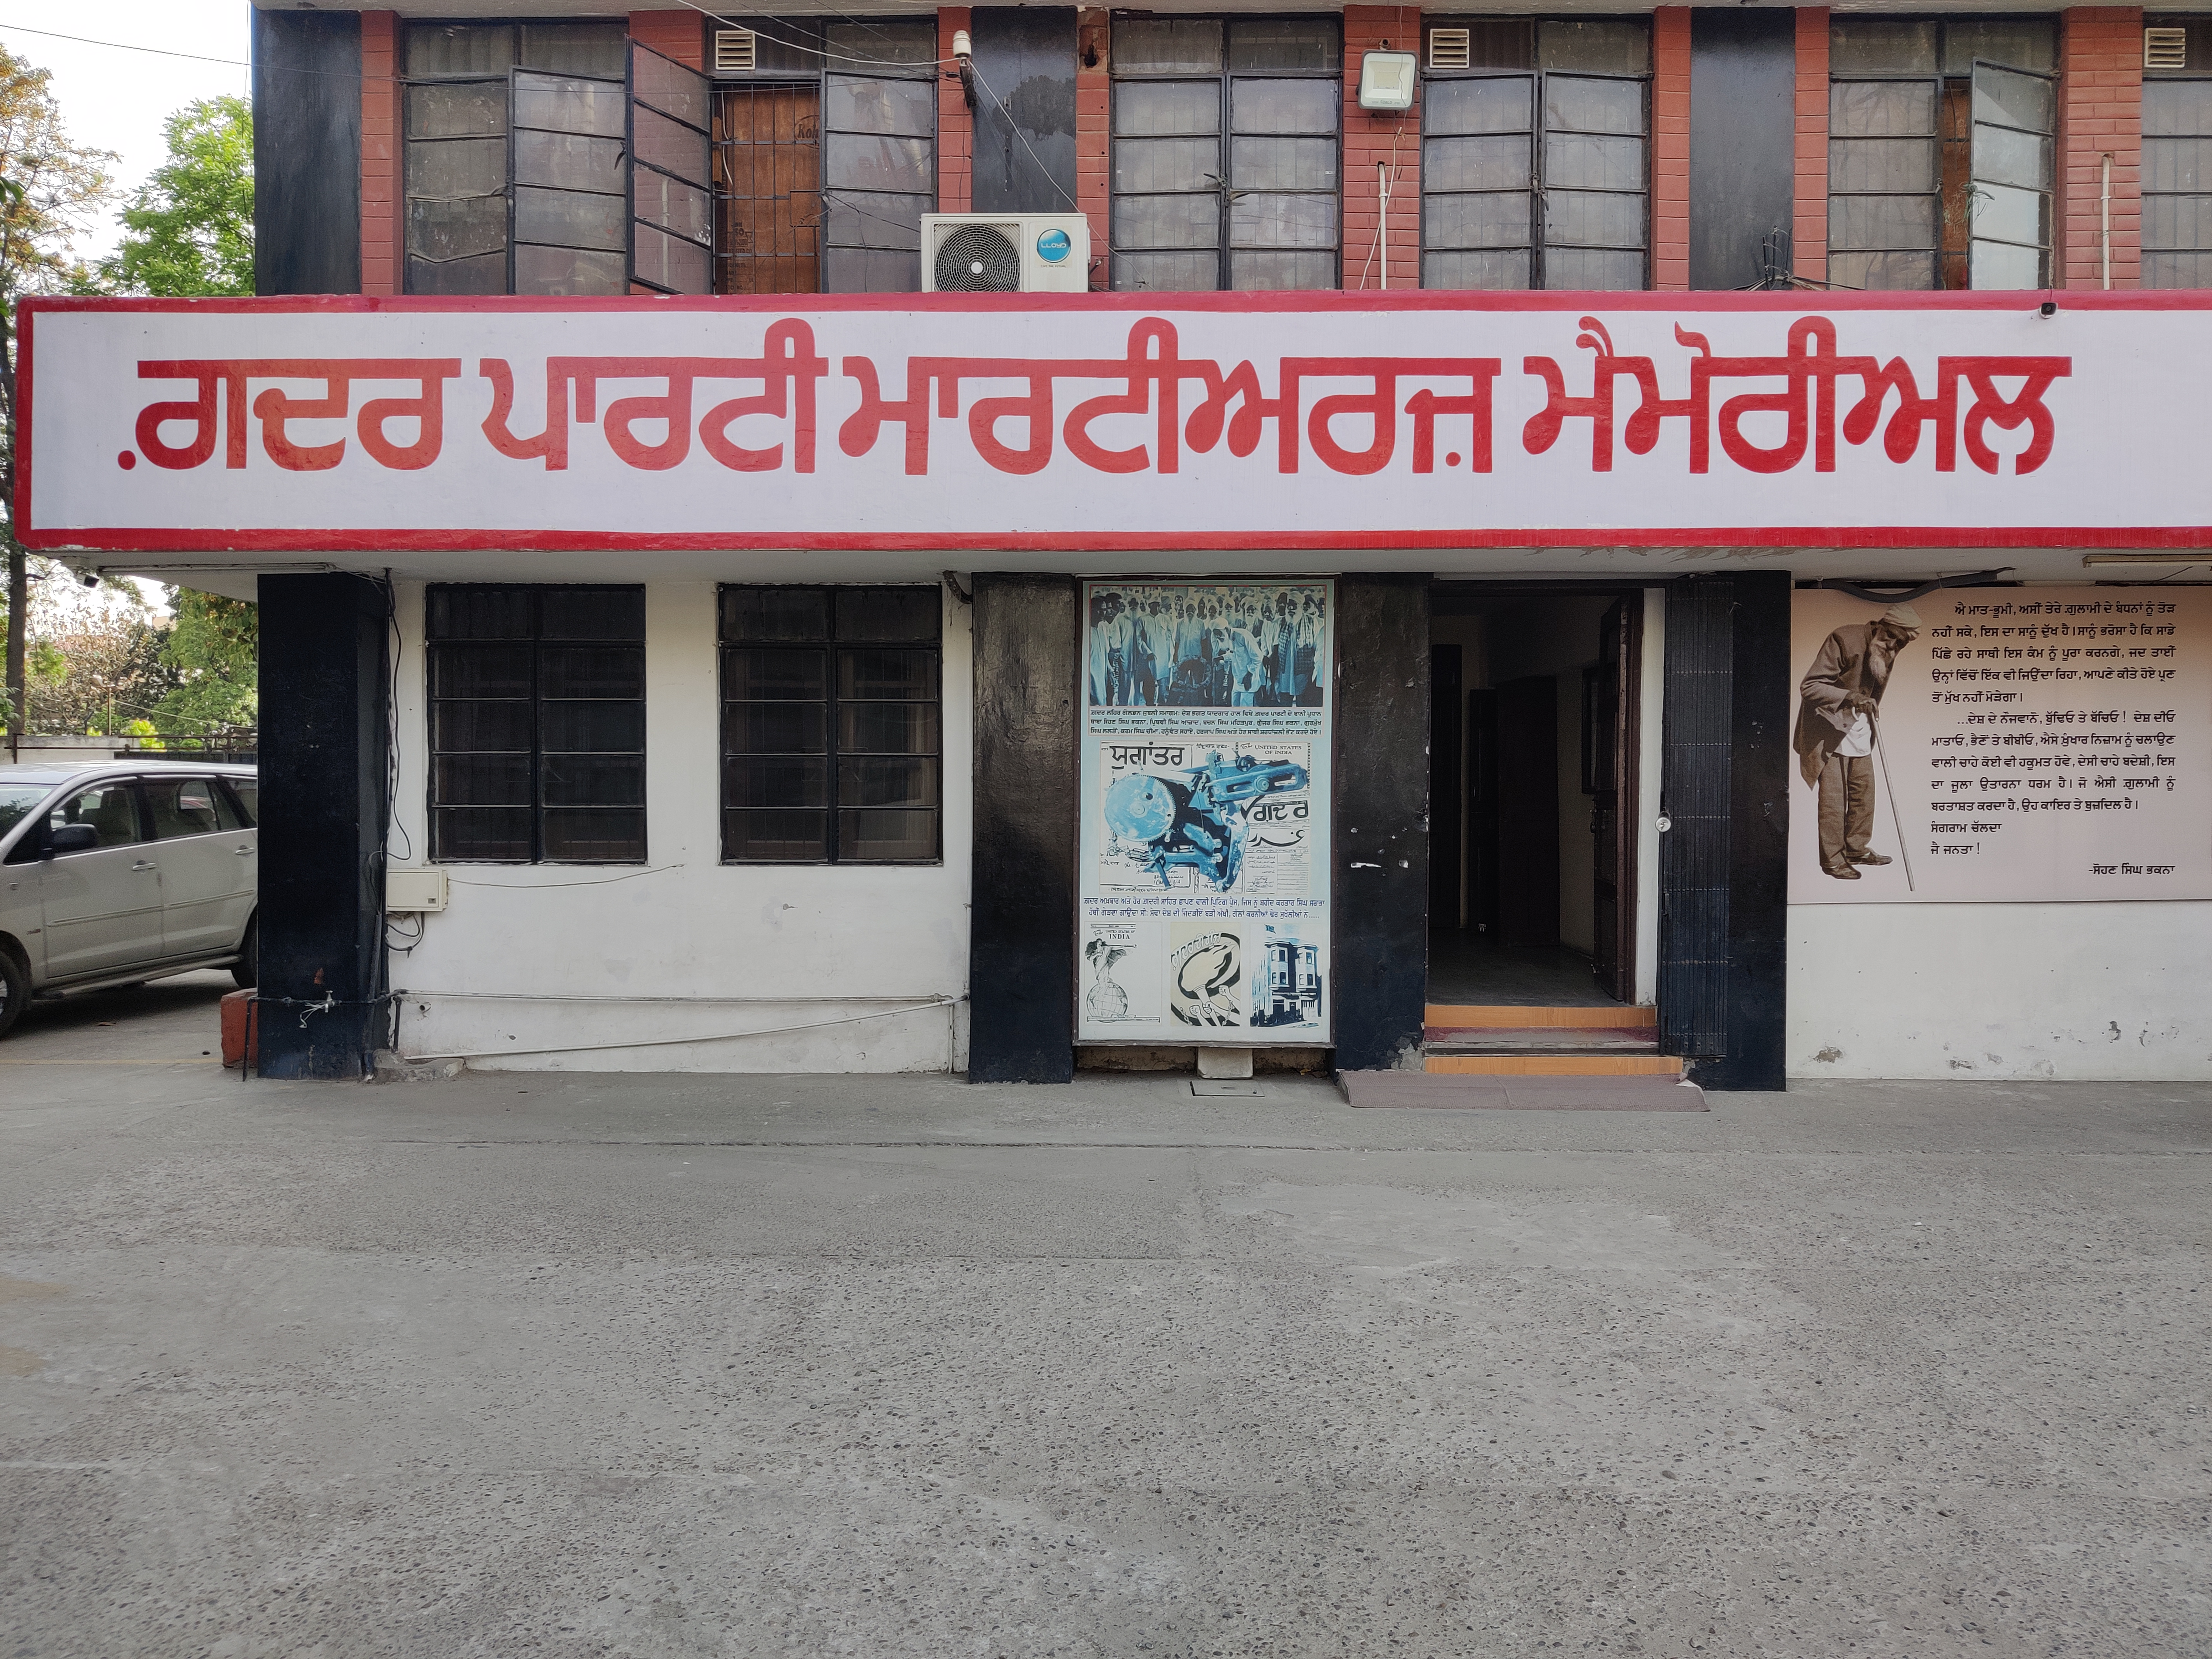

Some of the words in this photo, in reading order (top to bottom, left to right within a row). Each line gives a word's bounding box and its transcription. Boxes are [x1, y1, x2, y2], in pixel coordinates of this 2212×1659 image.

[1037, 241, 1069, 252] LLOYD
[468, 313, 834, 493] ਪਾਰਟੀ
[834, 312, 1514, 489] ਮਾਰਟੀਅਰਜ਼
[1511, 311, 2087, 492] ਮੈਮੋਰੀਅਲ
[109, 348, 473, 491] ਗ਼ਦਰ
[1951, 598, 1968, 616] ਐ
[1967, 599, 2015, 620] ਮਾਤ-ਭੂਮੀ
[2017, 599, 2043, 617] ਅਸੀਂ
[2042, 598, 2065, 617] ਤੇਰੇ
[2064, 598, 2103, 617] ਗ਼ਲਾਮੀ
[2102, 598, 2115, 615] ਦੇ
[2115, 598, 2144, 615] ਬੰਧਨਾਂ
[2144, 598, 2157, 617] ਨੂੰ
[2155, 600, 2179, 617] ਤੋੜ
[1928, 624, 1955, 640] ਨਹੀਂ
[1955, 621, 1975, 639] ਸਕੇ
[1978, 622, 2002, 641] ਇਸ
[2001, 625, 2017, 640] ਦਾ
[2017, 622, 2040, 641] ਸਾਨੂੰ
[2039, 620, 2062, 641] ਦੁੱਖ
[2060, 619, 2074, 638] ਹੈ
[2076, 621, 2099, 641] ਸਾਨੂੰ
[2099, 621, 2129, 640] ਭਰੋਸਾ
[2127, 620, 2140, 637] ਹੈ
[2139, 620, 2156, 636] ਕਿ
[2154, 621, 2180, 636] ਸਾਡੇ
[1931, 643, 1955, 661] ਪਿੱਛੇ
[1955, 644, 1974, 661] ਰਹੇ
[1975, 643, 2002, 661] ਸਾਥੀ
[2001, 643, 2025, 662] ਇਸ
[2026, 643, 2047, 660] ਕੰਮ
[2046, 643, 2060, 664] ਨੂੰ
[2059, 646, 2084, 664] ਪੂਰ
[2083, 642, 2126, 662] ਕਰਨਗੇ,
[2127, 646, 2150, 659] ਜਦ
[2149, 643, 2180, 659] ਤਾਈਂ
[1929, 666, 1955, 688] ਉਨ੍ਹਾ
[1955, 667, 1980, 684] ਵਿੱਚੇਂ
[1979, 666, 2003, 683] ਇੱਕ
[2002, 665, 2017, 683] ਵੀ
[2017, 664, 2055, 684] ਜਿਉਂਦਾ
[2055, 666, 2080, 681] ਰਿਹਾ
[2081, 665, 2117, 683] ਆਪਣੇ
[2116, 664, 2140, 682] ਕੀਤੇ
[2139, 664, 2181, 684] ਹੋਏਪ੍ਰਣ
[1928, 687, 1962, 705] ਤੋਂ ਮੁੱਖ
[1962, 687, 1984, 706] ਨਹੀਂ
[1984, 688, 2019, 704] ਮੜੇਗਾ
[1089, 726, 1102, 734] ਸਿਘ
[1090, 718, 1103, 725] ਥਾਥਾ
[1089, 709, 1106, 716] ਗ਼ਦਰ
[1102, 717, 1117, 726] ਸੋਹਣ
[1102, 727, 1119, 734] ਲਲਤੋਂ
[1105, 708, 1121, 716] ਲਹਿਹ
[1117, 717, 1130, 725] ਸਿਘ
[1120, 727, 1134, 735] ਕਰਮ
[1121, 708, 1142, 716] ਗੋਲਡਨ
[1130, 719, 1147, 726] ਭਕਨਾ
[1134, 726, 1146, 735] ਸਿਘ
[1105, 739, 1192, 774] ਯੁਗਾਂਤਰ
[1142, 709, 1159, 717] ਜੁਥਲਾੇ
[1145, 726, 1159, 735] ਚੀਮਾ
[1149, 717, 1168, 727] ਪਿ੍ਥਗੇ
[1158, 709, 1180, 717] ਸਮਾਗਮ:
[1160, 726, 1179, 737] ਹਨੂੰਰਂਤ
[1167, 718, 1180, 726] ਸਿਘ
[1180, 708, 1191, 717] ਦੇਥ
[1178, 727, 1194, 735] ਸਹਾੲੋ
[1180, 719, 1201, 726] ਆਜ਼ਾਦ
[1191, 710, 1206, 718] ਭਗਤ
[1195, 727, 1215, 735] ਹਰਜਾਪ
[1201, 719, 1217, 726] ਬਚਨ
[1206, 710, 1230, 717] ਯਾਦਗਾਰ
[1214, 727, 1227, 735] ਸਿਘ
[1217, 718, 1230, 726] ਸਿਘ
[1226, 727, 1238, 735] ਅਤੇ
[1229, 710, 1242, 718] ਹਾਲ
[1230, 718, 1254, 727] ਮਹਿਤਪੁਰ
[1238, 727, 1247, 736] ਹੋਰ
[1242, 709, 1254, 718] ਵਿਖੇ
[1246, 726, 1260, 736] ਸਾਥੀ
[1254, 710, 1270, 718] ਗ਼ਦਰ
[1256, 718, 1272, 727] ਗ੍ਹੱਜਰ
[1254, 744, 1279, 750] UNITED
[1264, 750, 1274, 756] OF
[1259, 726, 1285, 736] ਥਰਧਾਂਜਲੀ
[1271, 718, 1285, 726] ਸਿਘ
[1270, 708, 1287, 718] ਪਾਰਟੀ
[1273, 749, 1294, 755] INDIA
[1286, 708, 1294, 718] ਦੇ
[1279, 744, 1303, 750] STATES
[1284, 718, 1301, 727] ਭਕਨਾ
[1293, 708, 1306, 718] ੲਾਨੀ
[1295, 727, 1309, 736] ਕਰਦੇ
[1303, 718, 1323, 727] ਗੁਰਮੁੱਖ
[1306, 710, 1322, 719] ਪ੍ਰਧਾਨ
[1309, 727, 1319, 737] ਹੋਏ
[1927, 753, 1959, 769] ਵਾਲੀ
[1929, 731, 1967, 748] ਮਾਤਾਓ
[1957, 752, 1980, 770] ਚਾਹੇ
[1954, 710, 1987, 726] ...ਦੇਸ਼
[1967, 730, 2002, 748] ਭਣਤੇ
[1979, 752, 2003, 769] ਕੋਈ
[1986, 709, 1999, 725] ਦੇ
[2002, 752, 2018, 769] ਵੀ
[2001, 730, 2036, 747] ਬੀਬੀਓ
[1998, 709, 2041, 726] ਨੌਜਵਾਨੋ
[2018, 755, 2054, 772] ਹਕੂਮਤ
[2039, 729, 2060, 747] ਐਸੇ
[2042, 707, 2078, 727] ਬੁੱਢਿਓ
[2053, 752, 2073, 769] ਹੇਵੇ
[2058, 731, 2090, 748] ਖ਼ੁੰਖਰ
[2077, 708, 2089, 726] ਤੇ
[2077, 751, 2099, 768] ਦੇਸੀ
[2088, 708, 2121, 725] ਬੱਚਿਓ
[2099, 752, 2122, 768] ਚਾਹੇ
[2090, 731, 2136, 750] ਨਿਜ਼ਾਮਨੂੰ
[2121, 751, 2153, 768] ਬਦੇਸ਼ੀ
[2132, 707, 2153, 724] ਦੇਸ਼
[2134, 729, 2178, 749] ਚਲਾਉਣ
[2153, 708, 2178, 724] ਦੀਓ
[2154, 751, 2179, 768] ਇਸ
[1929, 777, 1946, 792] ਦਾ
[1948, 776, 1976, 795] ਜੂਲਾ
[1977, 774, 2025, 793] ਉਤਾਰਨਾ
[2025, 777, 2054, 791] ਧਰਮ
[2055, 773, 2069, 790] ਹੈ
[2075, 775, 2090, 791] ਜੋ
[2092, 772, 2119, 790] ਐਸੀ
[2121, 773, 2161, 792] ਗ਼ੁਲਾਮੀ
[2164, 772, 2179, 793] ਨੂੰ
[1251, 797, 1311, 824] ਗ਼ਦਰ
[1927, 799, 1977, 814] ਬਰਤਾਸ਼ਤ
[1976, 795, 2019, 814] ਕਰਦਾਹੈ
[2020, 796, 2041, 814] ਉਹ
[2040, 796, 2073, 813] ਕਾਇਰ
[2072, 796, 2084, 813] ਤੇ
[2084, 795, 2134, 812] ਬੁਜ਼ਦਿਲਹੈ
[1927, 820, 1970, 834] ਸੰਗਰਾਮ
[1967, 818, 2005, 834] ਚੱਲਦਾ
[1928, 839, 1941, 856] ਜੈ
[1940, 842, 1975, 856] ਜਨਤਾ
[2087, 860, 2120, 877] -ਸੋਹਣ
[2119, 859, 2145, 877] ਸਿੰਘ
[2144, 864, 2179, 876] ਭਕਨਾ
[1082, 897, 1099, 906] ਗ਼ਦਰ
[1099, 897, 1120, 905] ਅਖ਼ਬਾਰ
[1120, 894, 1131, 906] ਅਤੇ
[1131, 894, 1142, 905] ਹੋਰ
[1141, 895, 1160, 906] ਗ਼ਦਗੇ
[1160, 895, 1178, 906] ਸਾਹਿਤ
[1177, 897, 1195, 906] ਛਾਪਣ
[1195, 895, 1210, 907] ਵਾਲੀ
[1209, 895, 1228, 908] ਪ੍ਰਿਟਿਗ
[1228, 895, 1240, 909] ਪੈੁਜ
[1240, 896, 1252, 907] ਜਿਸ
[1252, 896, 1259, 909] ਨੂੰ
[1259, 897, 1275, 907] ਬਹੀਦ
[1275, 898, 1296, 907] ਕਰਤਾਰ
[1295, 897, 1309, 907] ਸਿਘ
[1309, 898, 1327, 907] ਸਰਾਭਾ
[1087, 906, 1100, 917] ਹੱਥों
[1100, 906, 1118, 917] ਗੇੜਦਾ
[1118, 906, 1139, 919] ਗਾਉਂਦਾ
[1139, 907, 1149, 918] ਸੀ:
[1149, 907, 1161, 918] ਸੇਵਾ
[1160, 907, 1173, 919] ਦੇਬ
[1172, 907, 1181, 919] ਦੀ
[1180, 907, 1205, 918] ਜਿਦੜੀਏ
[1203, 908, 1216, 919] ਬੜੀ
[1216, 907, 1230, 919] ਔਖੀ
[1231, 907, 1246, 919] ਗੱਲਾਂ
[1245, 908, 1269, 919] ਕਰਨੀਆਂ
[1269, 908, 1279, 919] ਢੇਰ
[1279, 908, 1303, 920] ਸੁਖੱਲੀਆਂ
[1302, 908, 1309, 920] ਨੇ
[1107, 933, 1131, 940] INDIA
[1194, 932, 1204, 953] ਦੀ
[1204, 928, 1224, 950] ਗੂੰਜ
[1169, 936, 1194, 972] ਗ਼ਦਰ